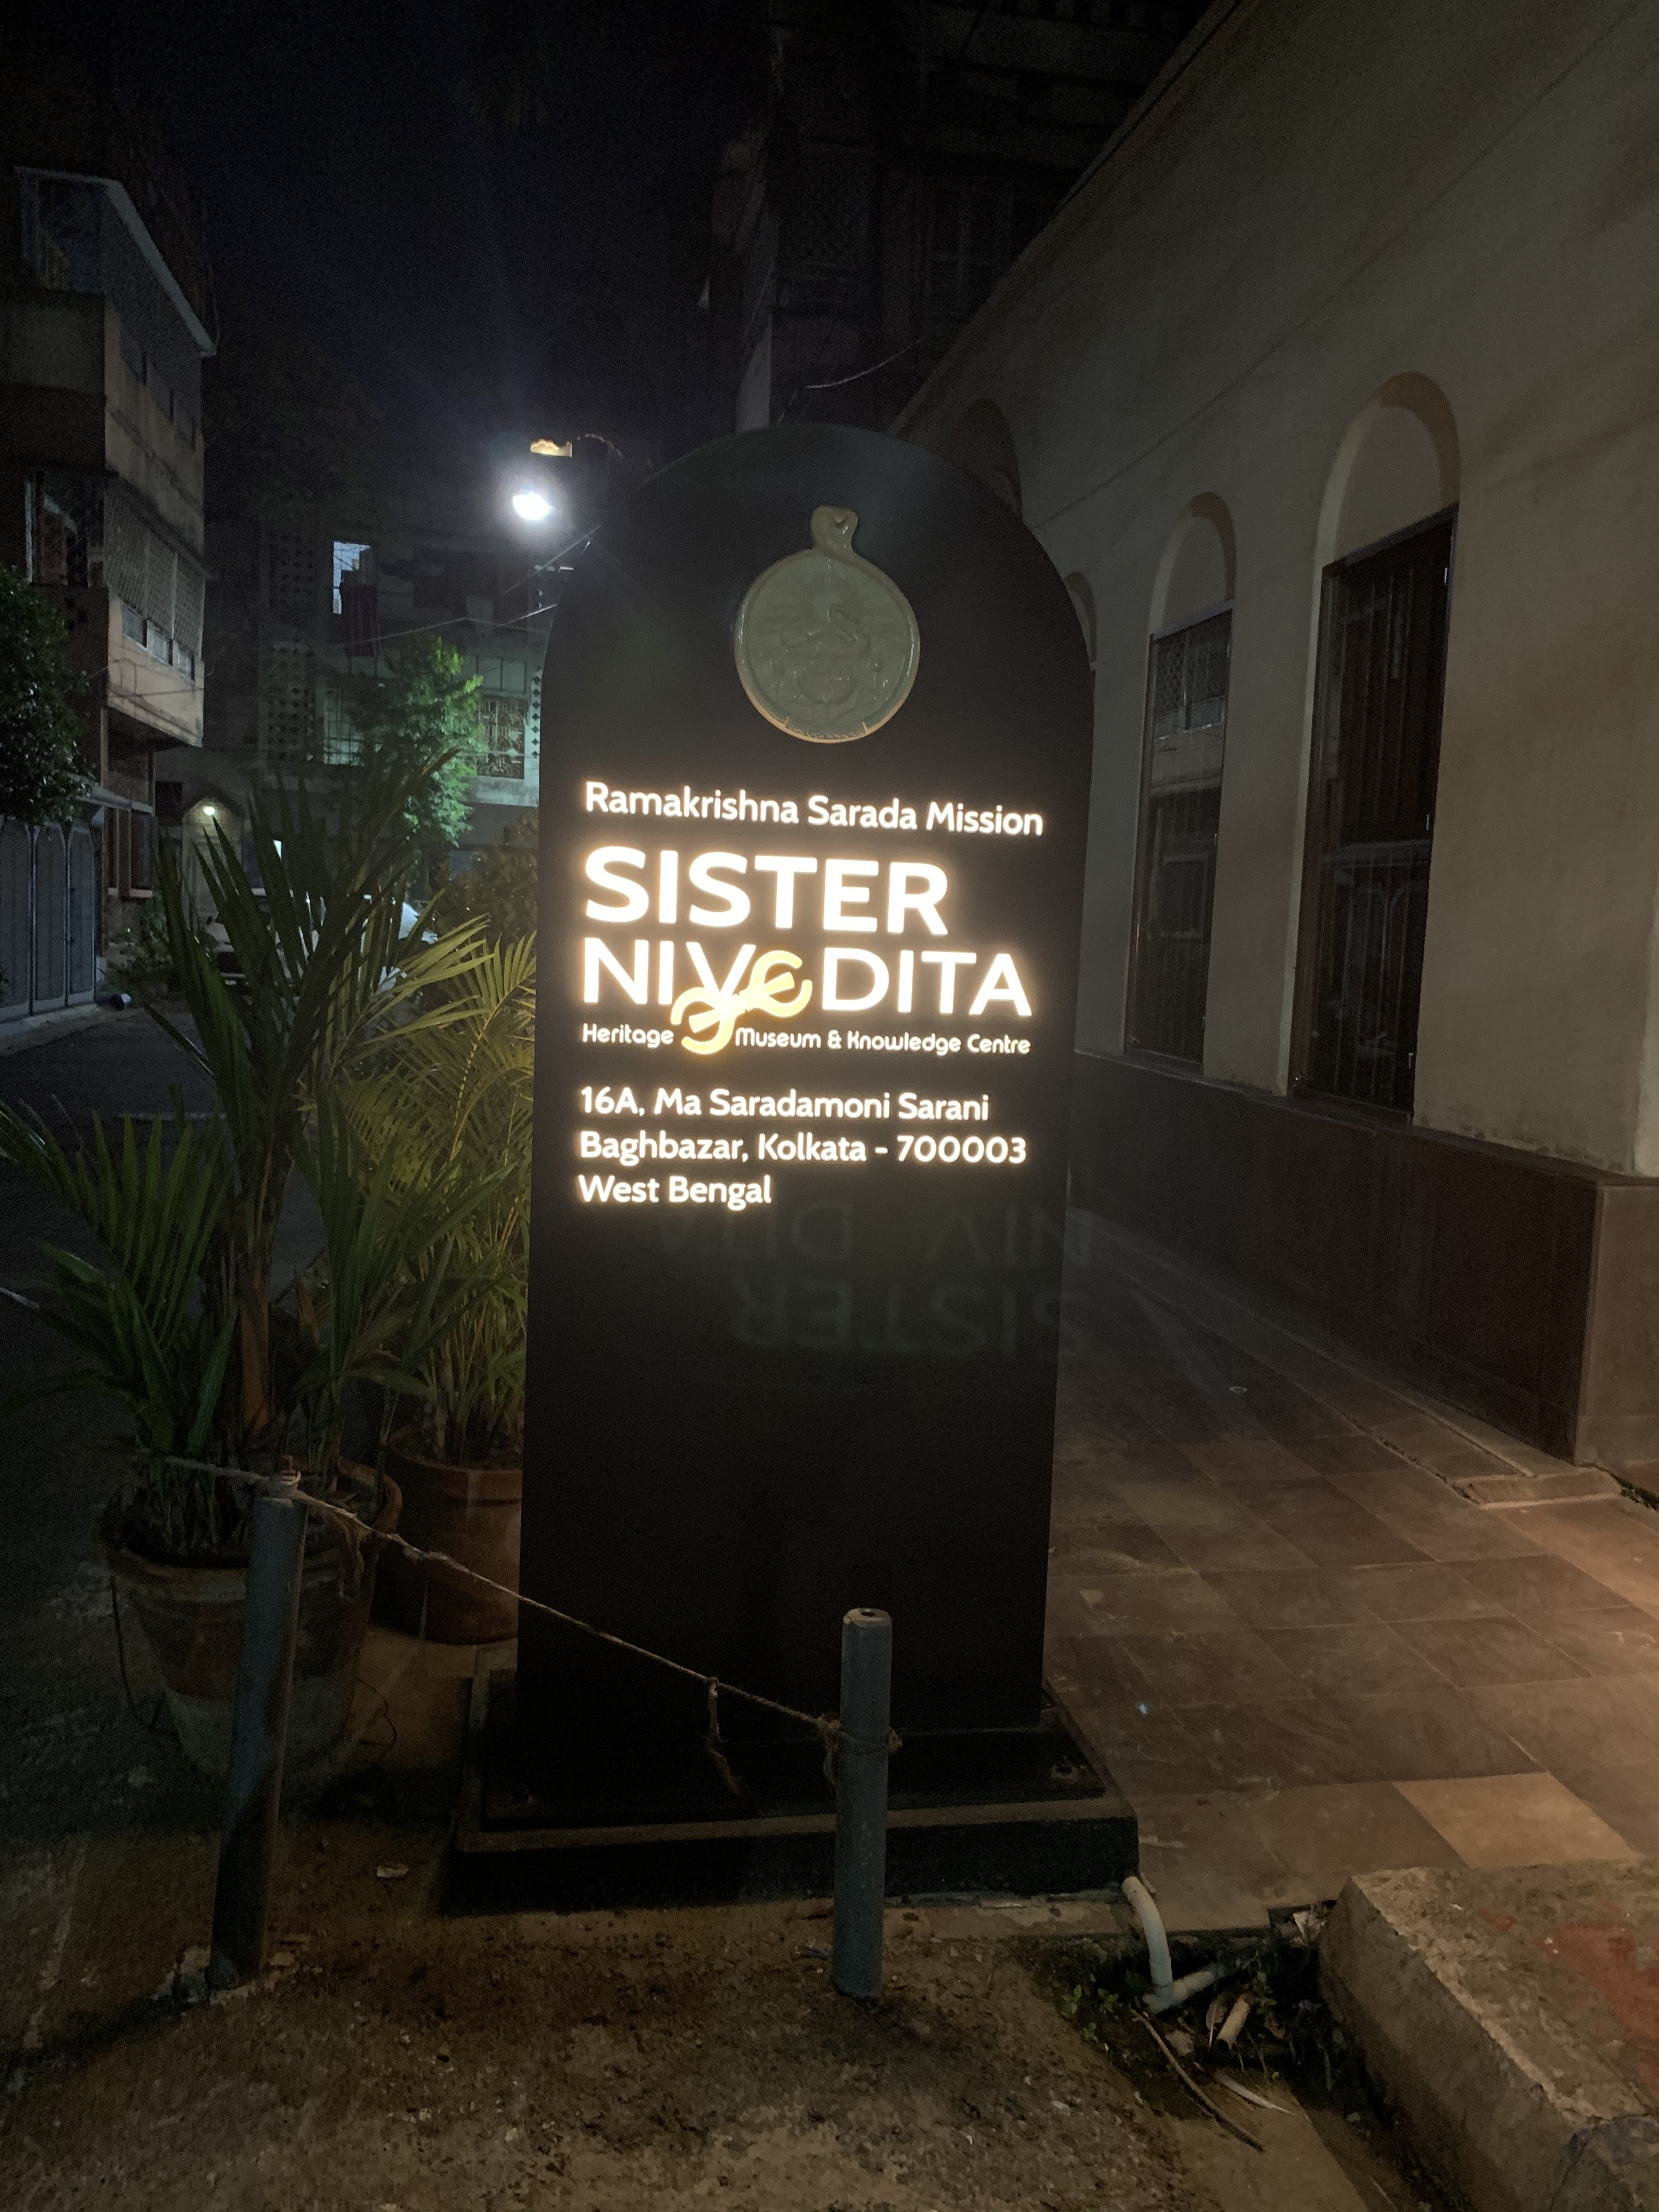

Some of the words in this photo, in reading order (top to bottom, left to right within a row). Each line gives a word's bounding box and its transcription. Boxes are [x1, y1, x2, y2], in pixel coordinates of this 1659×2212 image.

[576, 776, 806, 828] Ramakrishna
[801, 782, 923, 834] Sarada
[917, 794, 1048, 842] Mission
[569, 837, 961, 944] SISTER
[565, 927, 1038, 1022] NIVODITA
[576, 1018, 681, 1054] Heritage
[727, 1017, 828, 1052] museum
[820, 1023, 848, 1058] &
[842, 1025, 964, 1060] Knowledge
[961, 1025, 1041, 1063] Centre
[568, 1079, 646, 1121] 16A,
[652, 1079, 711, 1128] Ma
[706, 1079, 896, 1126] Saradamoni
[893, 1083, 997, 1129] Sarani
[572, 1121, 747, 1171] Baghbazar,
[748, 1128, 870, 1170] Kolkata
[889, 1129, 1034, 1175] 700003
[573, 1166, 668, 1217] West
[658, 1170, 780, 1219] Bengal